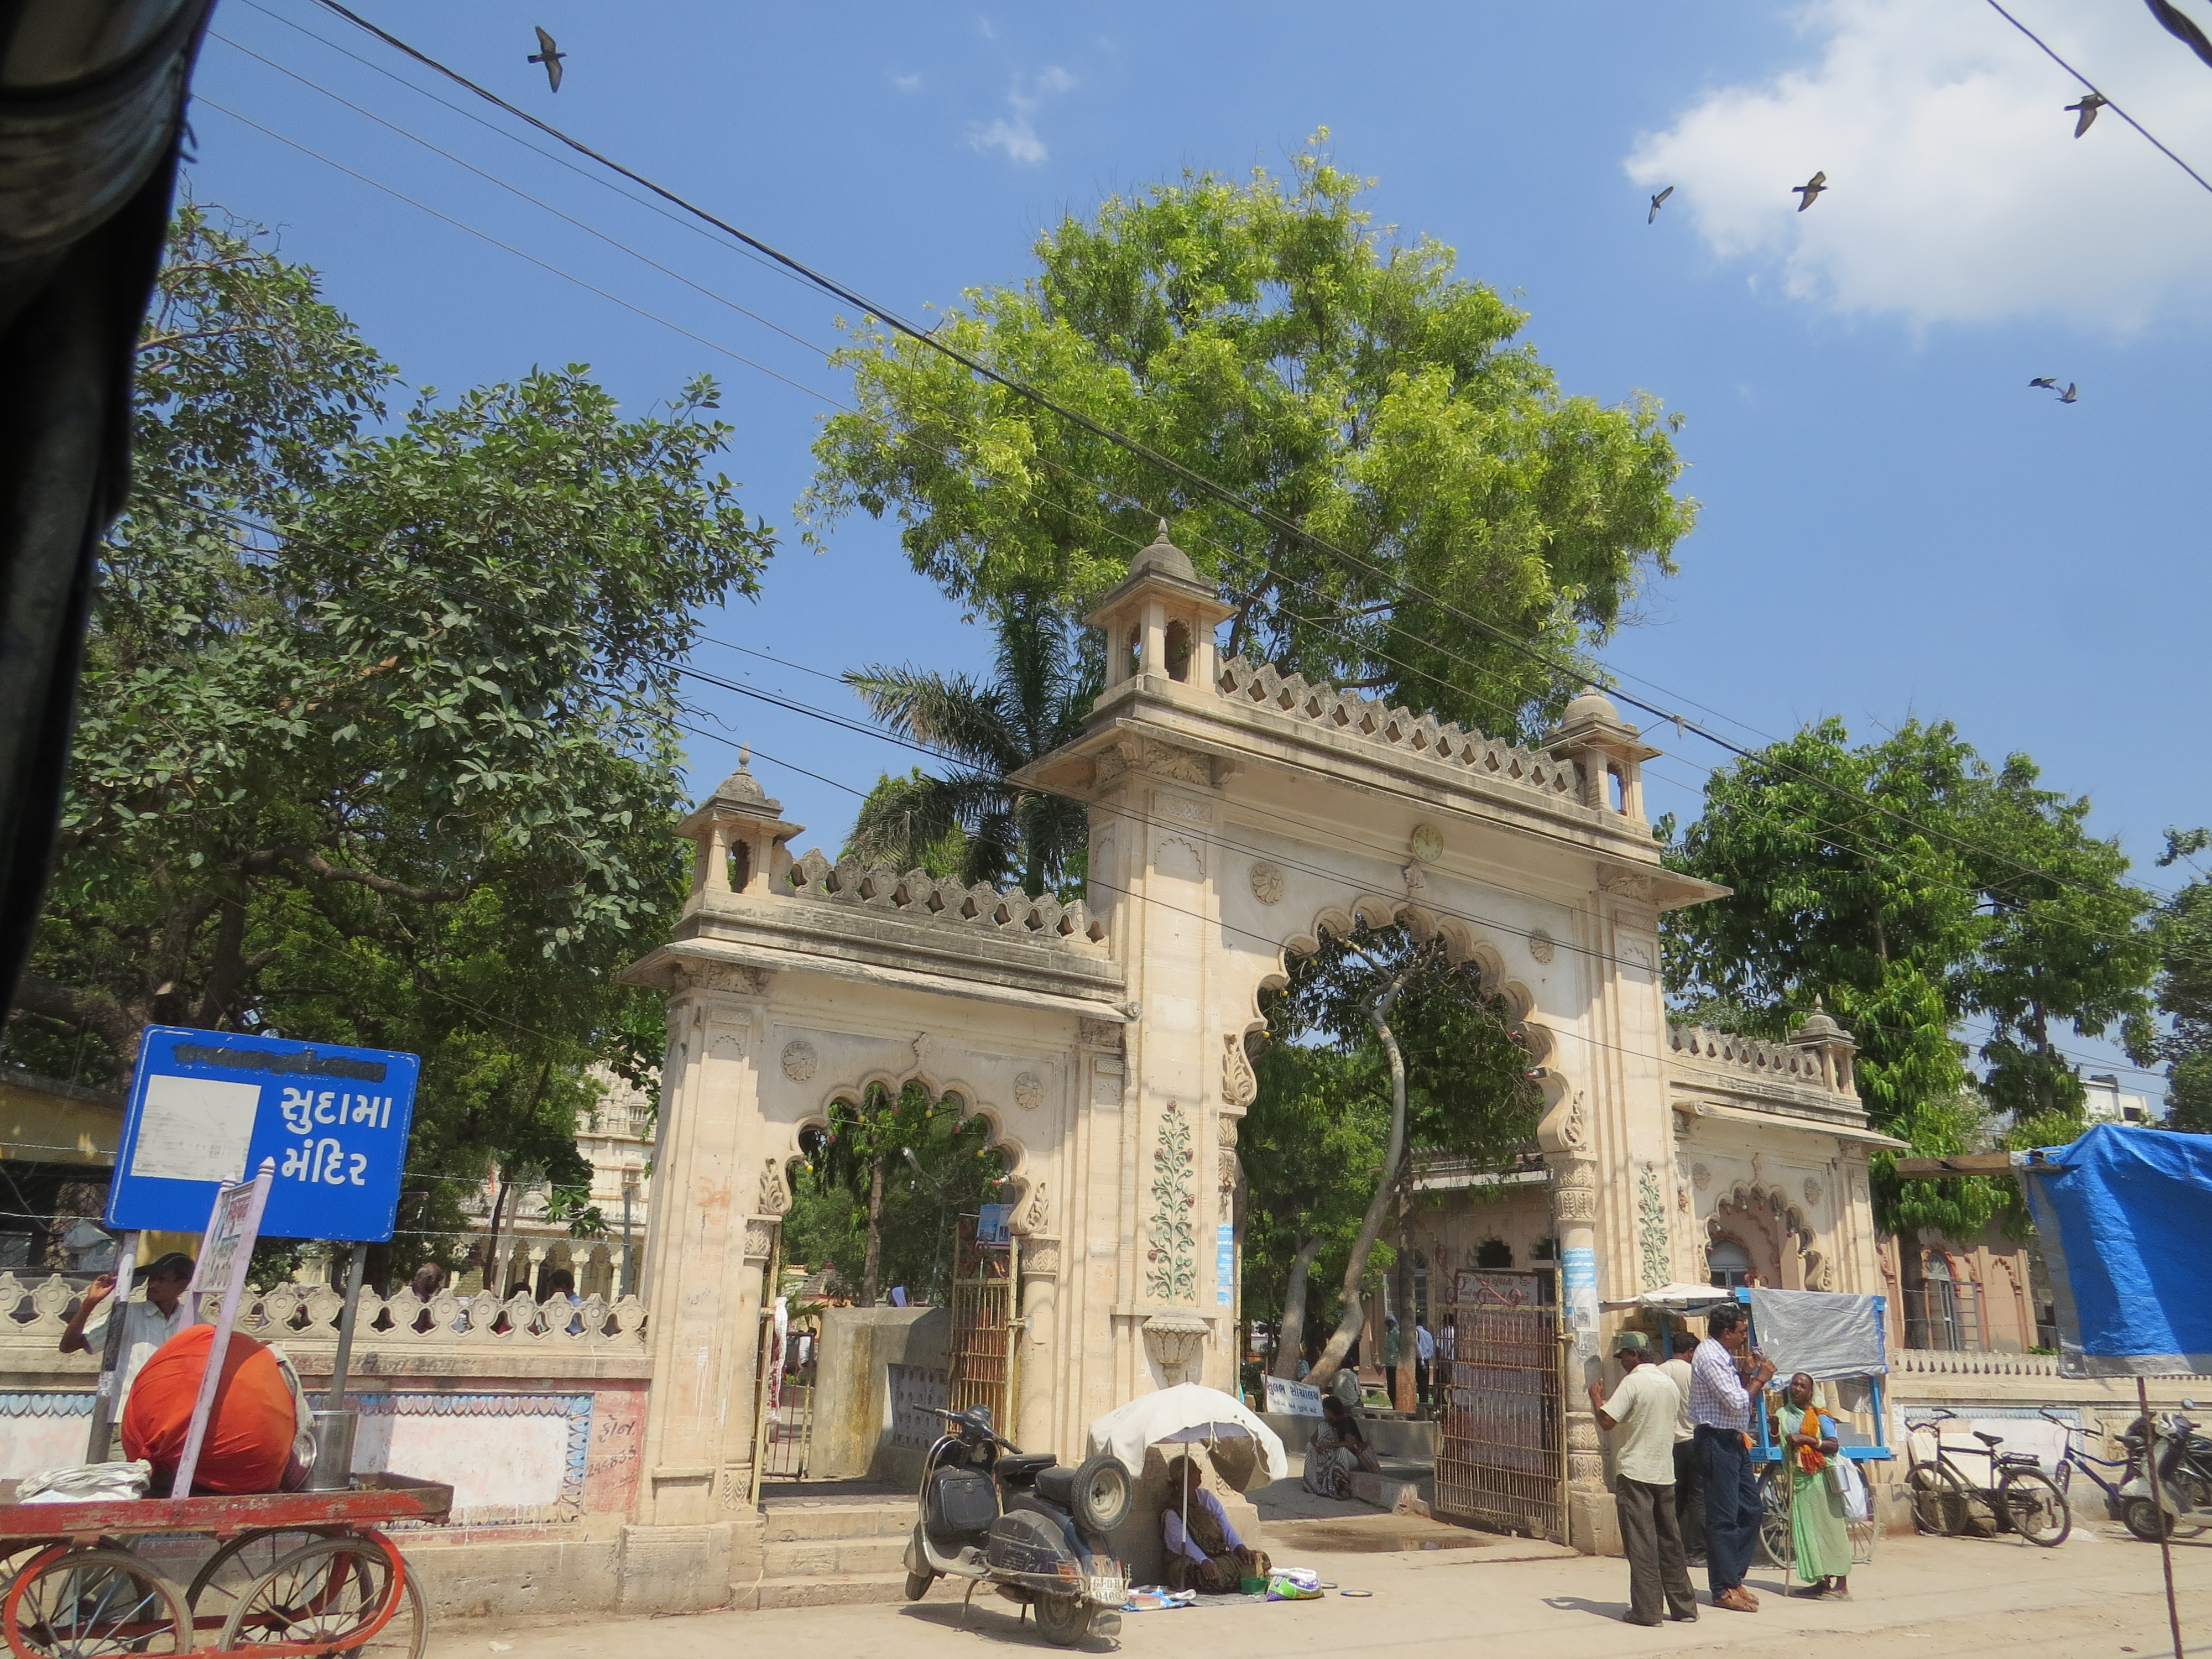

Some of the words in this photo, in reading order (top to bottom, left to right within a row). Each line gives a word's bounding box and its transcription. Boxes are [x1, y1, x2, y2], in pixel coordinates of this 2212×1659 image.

[270, 1083, 404, 1140] સુદ1મા
[277, 1134, 375, 1193] મંદિર